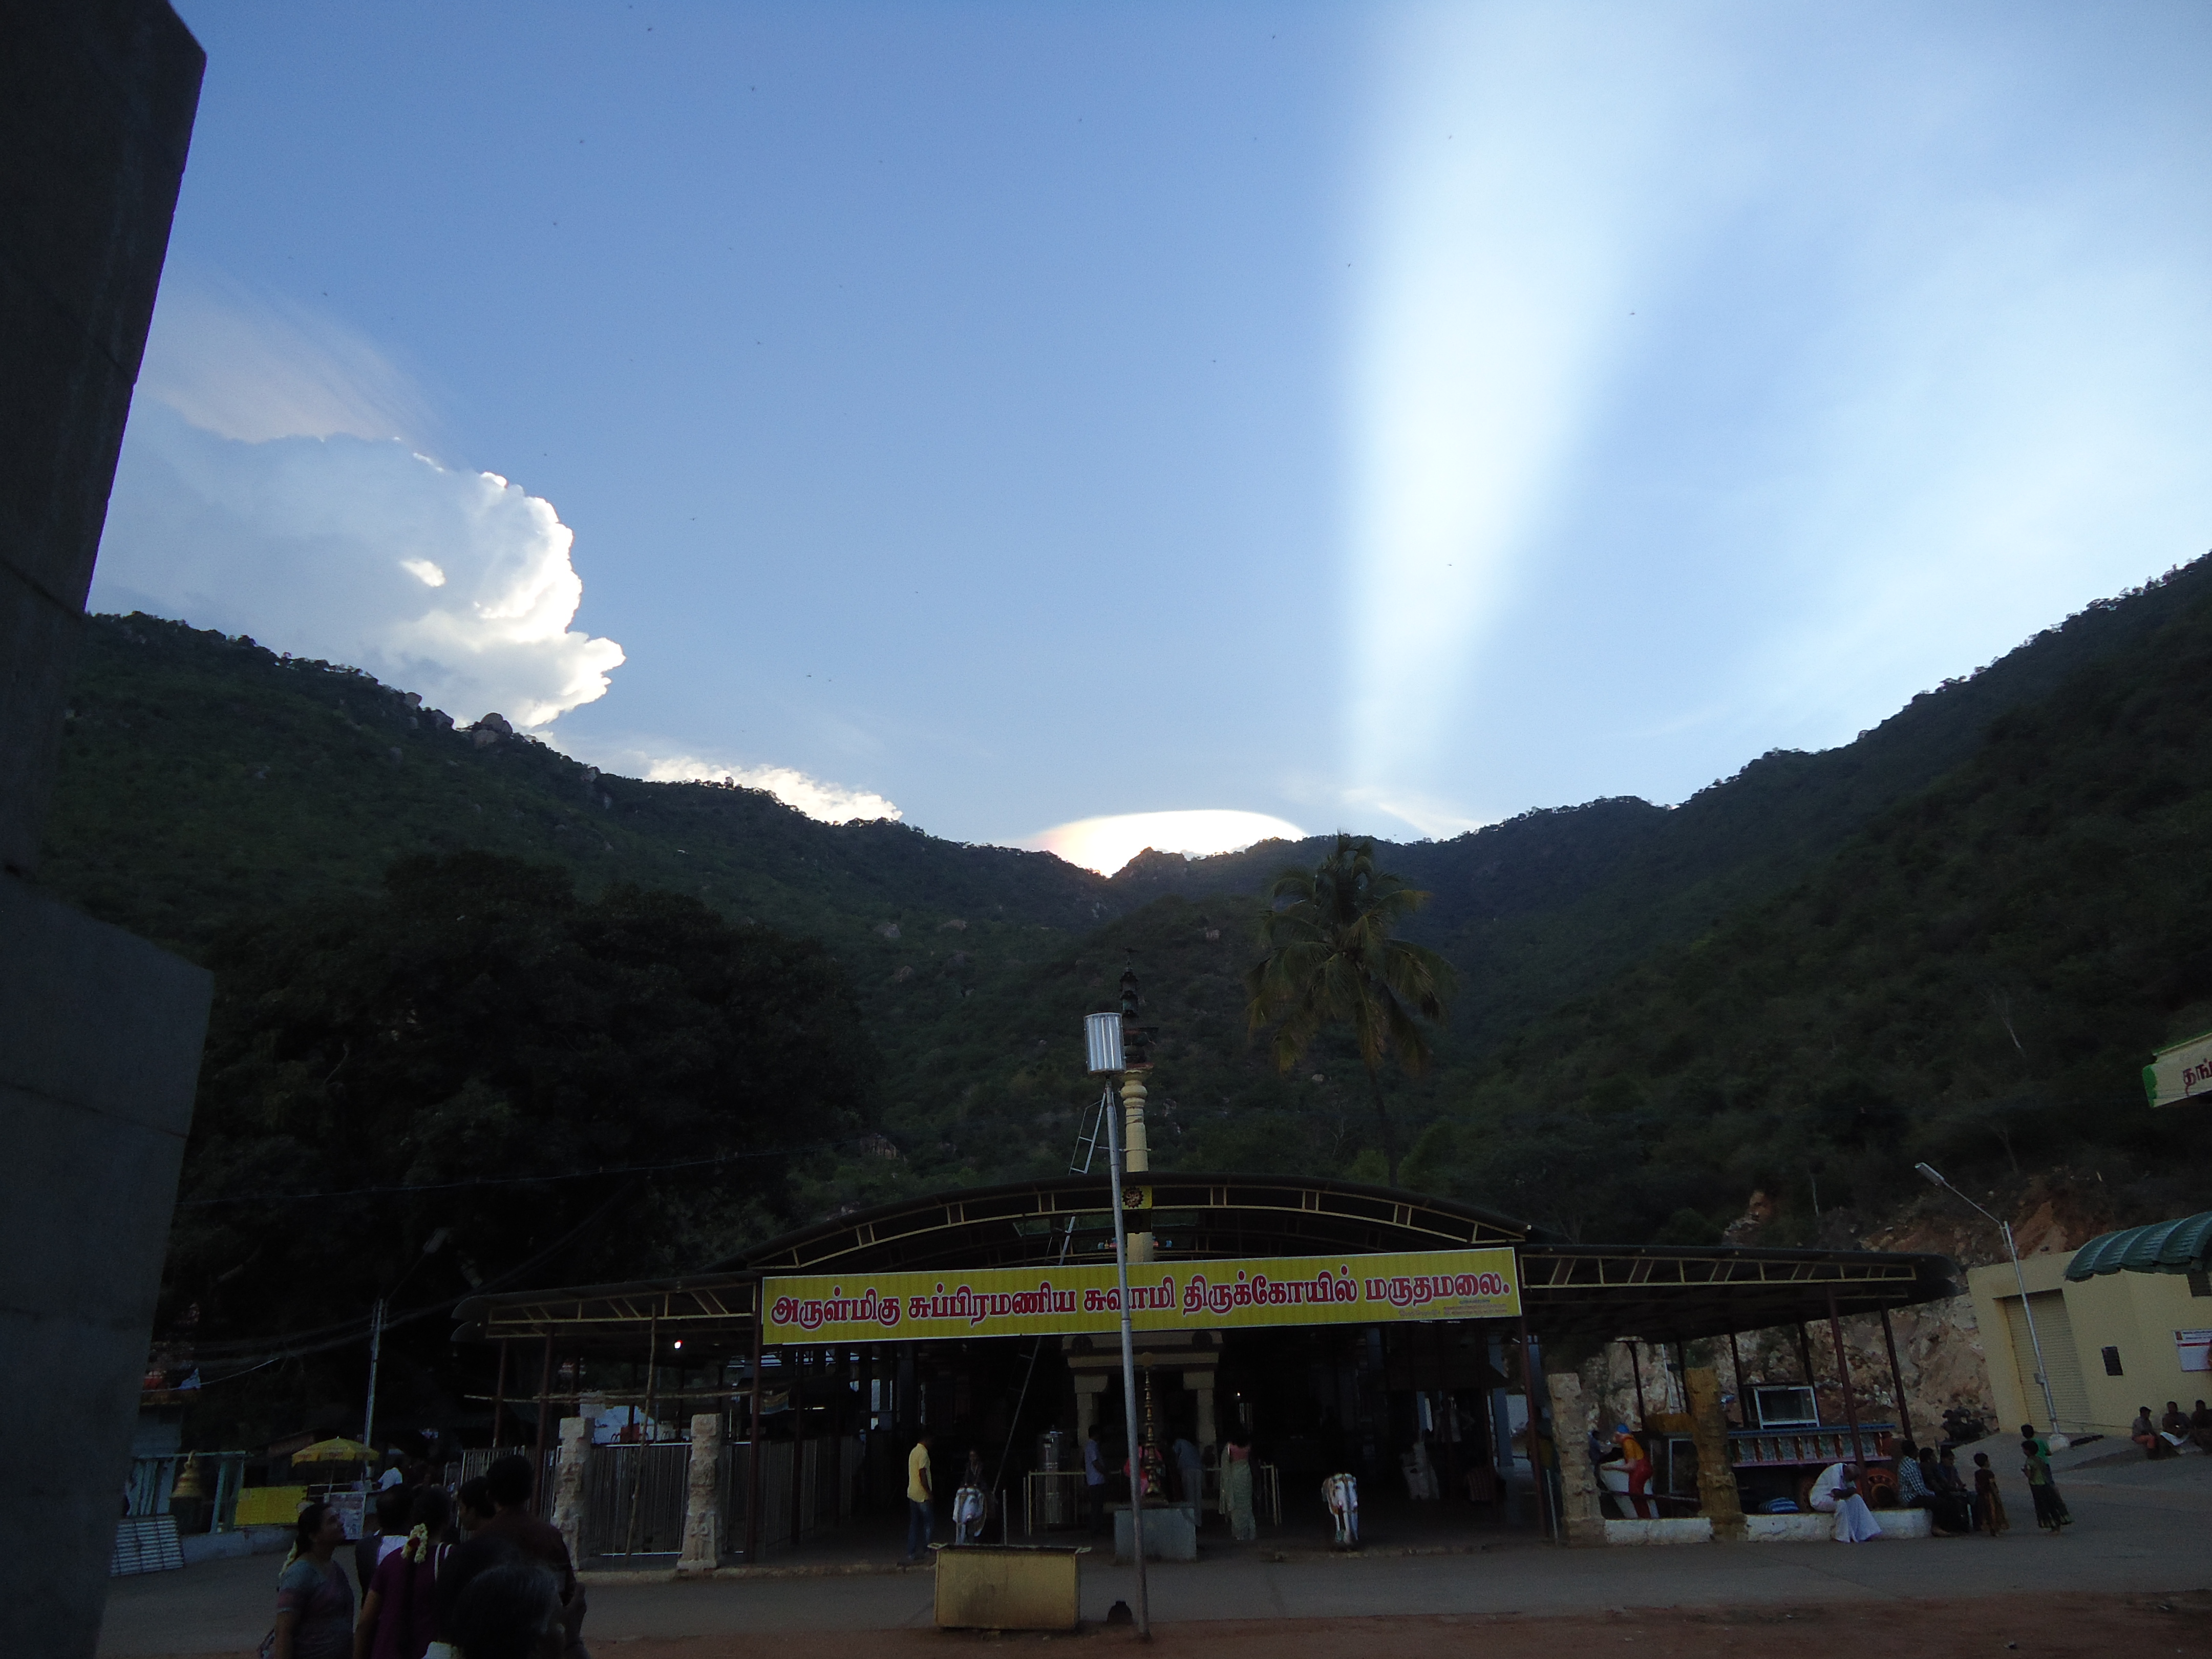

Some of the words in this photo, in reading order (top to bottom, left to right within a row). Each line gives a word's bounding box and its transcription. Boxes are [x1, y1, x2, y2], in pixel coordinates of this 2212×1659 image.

[768, 1283, 904, 1333] அருள்மிகு
[905, 1279, 1078, 1328] சுப்பிரமணிய
[1082, 1272, 1179, 1316] சுவாமி
[1179, 1261, 1359, 1318] திருக்கோயில்
[1364, 1269, 1513, 1310] மருதமலை.